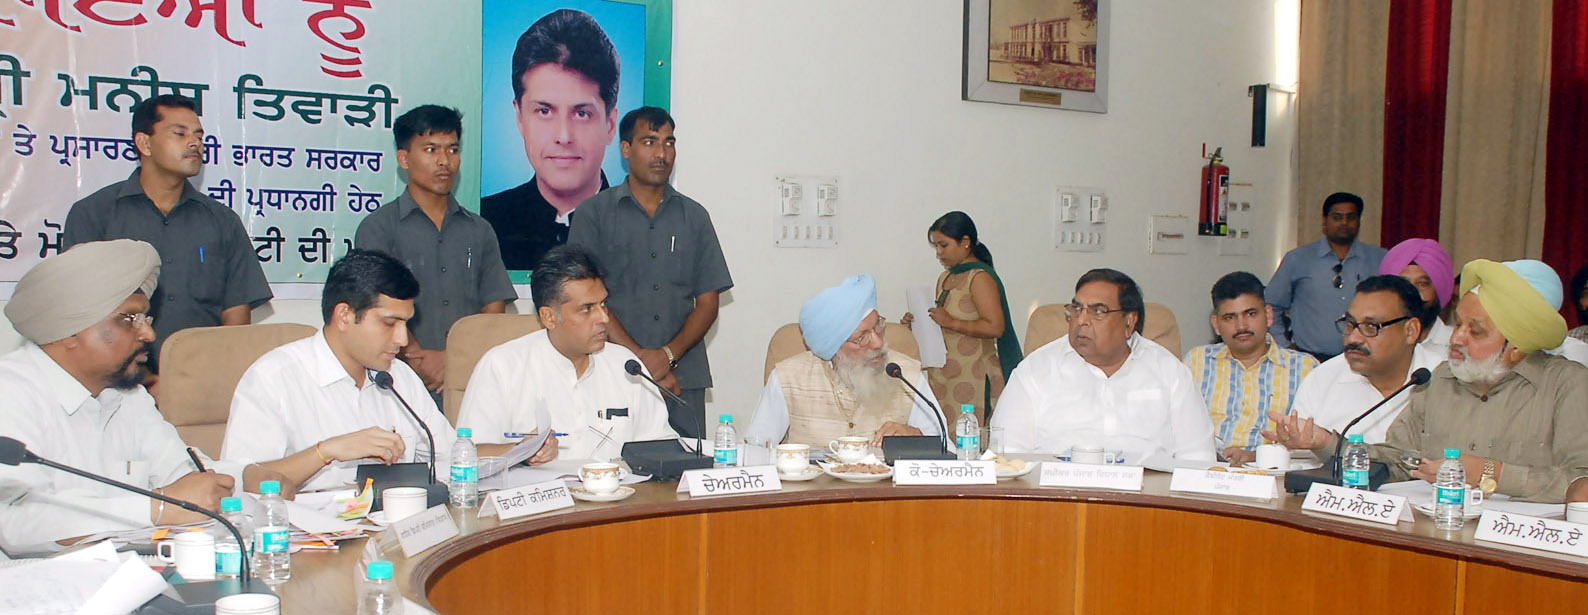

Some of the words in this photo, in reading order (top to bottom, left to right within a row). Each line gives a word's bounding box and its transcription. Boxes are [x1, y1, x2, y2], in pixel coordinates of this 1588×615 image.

[228, 68, 407, 137] ਤਿਵਾੜੀ
[7, 121, 39, 160] ਤੇ
[45, 131, 141, 171] ਪ੍ਰਸਾਰਣ
[226, 139, 301, 171] ਭਾਰਤ
[301, 143, 387, 176] ਸਰਕਾਰ
[241, 179, 341, 220] ਪ੍ਰਧਾਨਗੀ
[343, 180, 387, 216] ਹੇਠ
[1, 211, 28, 265] ਤੇ
[33, 208, 65, 260] ਮੋ
[248, 223, 289, 270] ਟੀ
[294, 226, 333, 268] ਦੀ
[491, 480, 575, 519] ਡਿਪਟੀ ਕਮਿਸ਼ਨਰ
[693, 466, 769, 498] ਚੇਅਰਮੈਨ
[905, 461, 991, 485] ਕੋ-ਚੇਅਰਮੈਨ
[1309, 485, 1402, 524] ਐਮ.ਐਲ.ਏ
[1482, 510, 1585, 555] ਐਮ.ਐਲ.ਏ